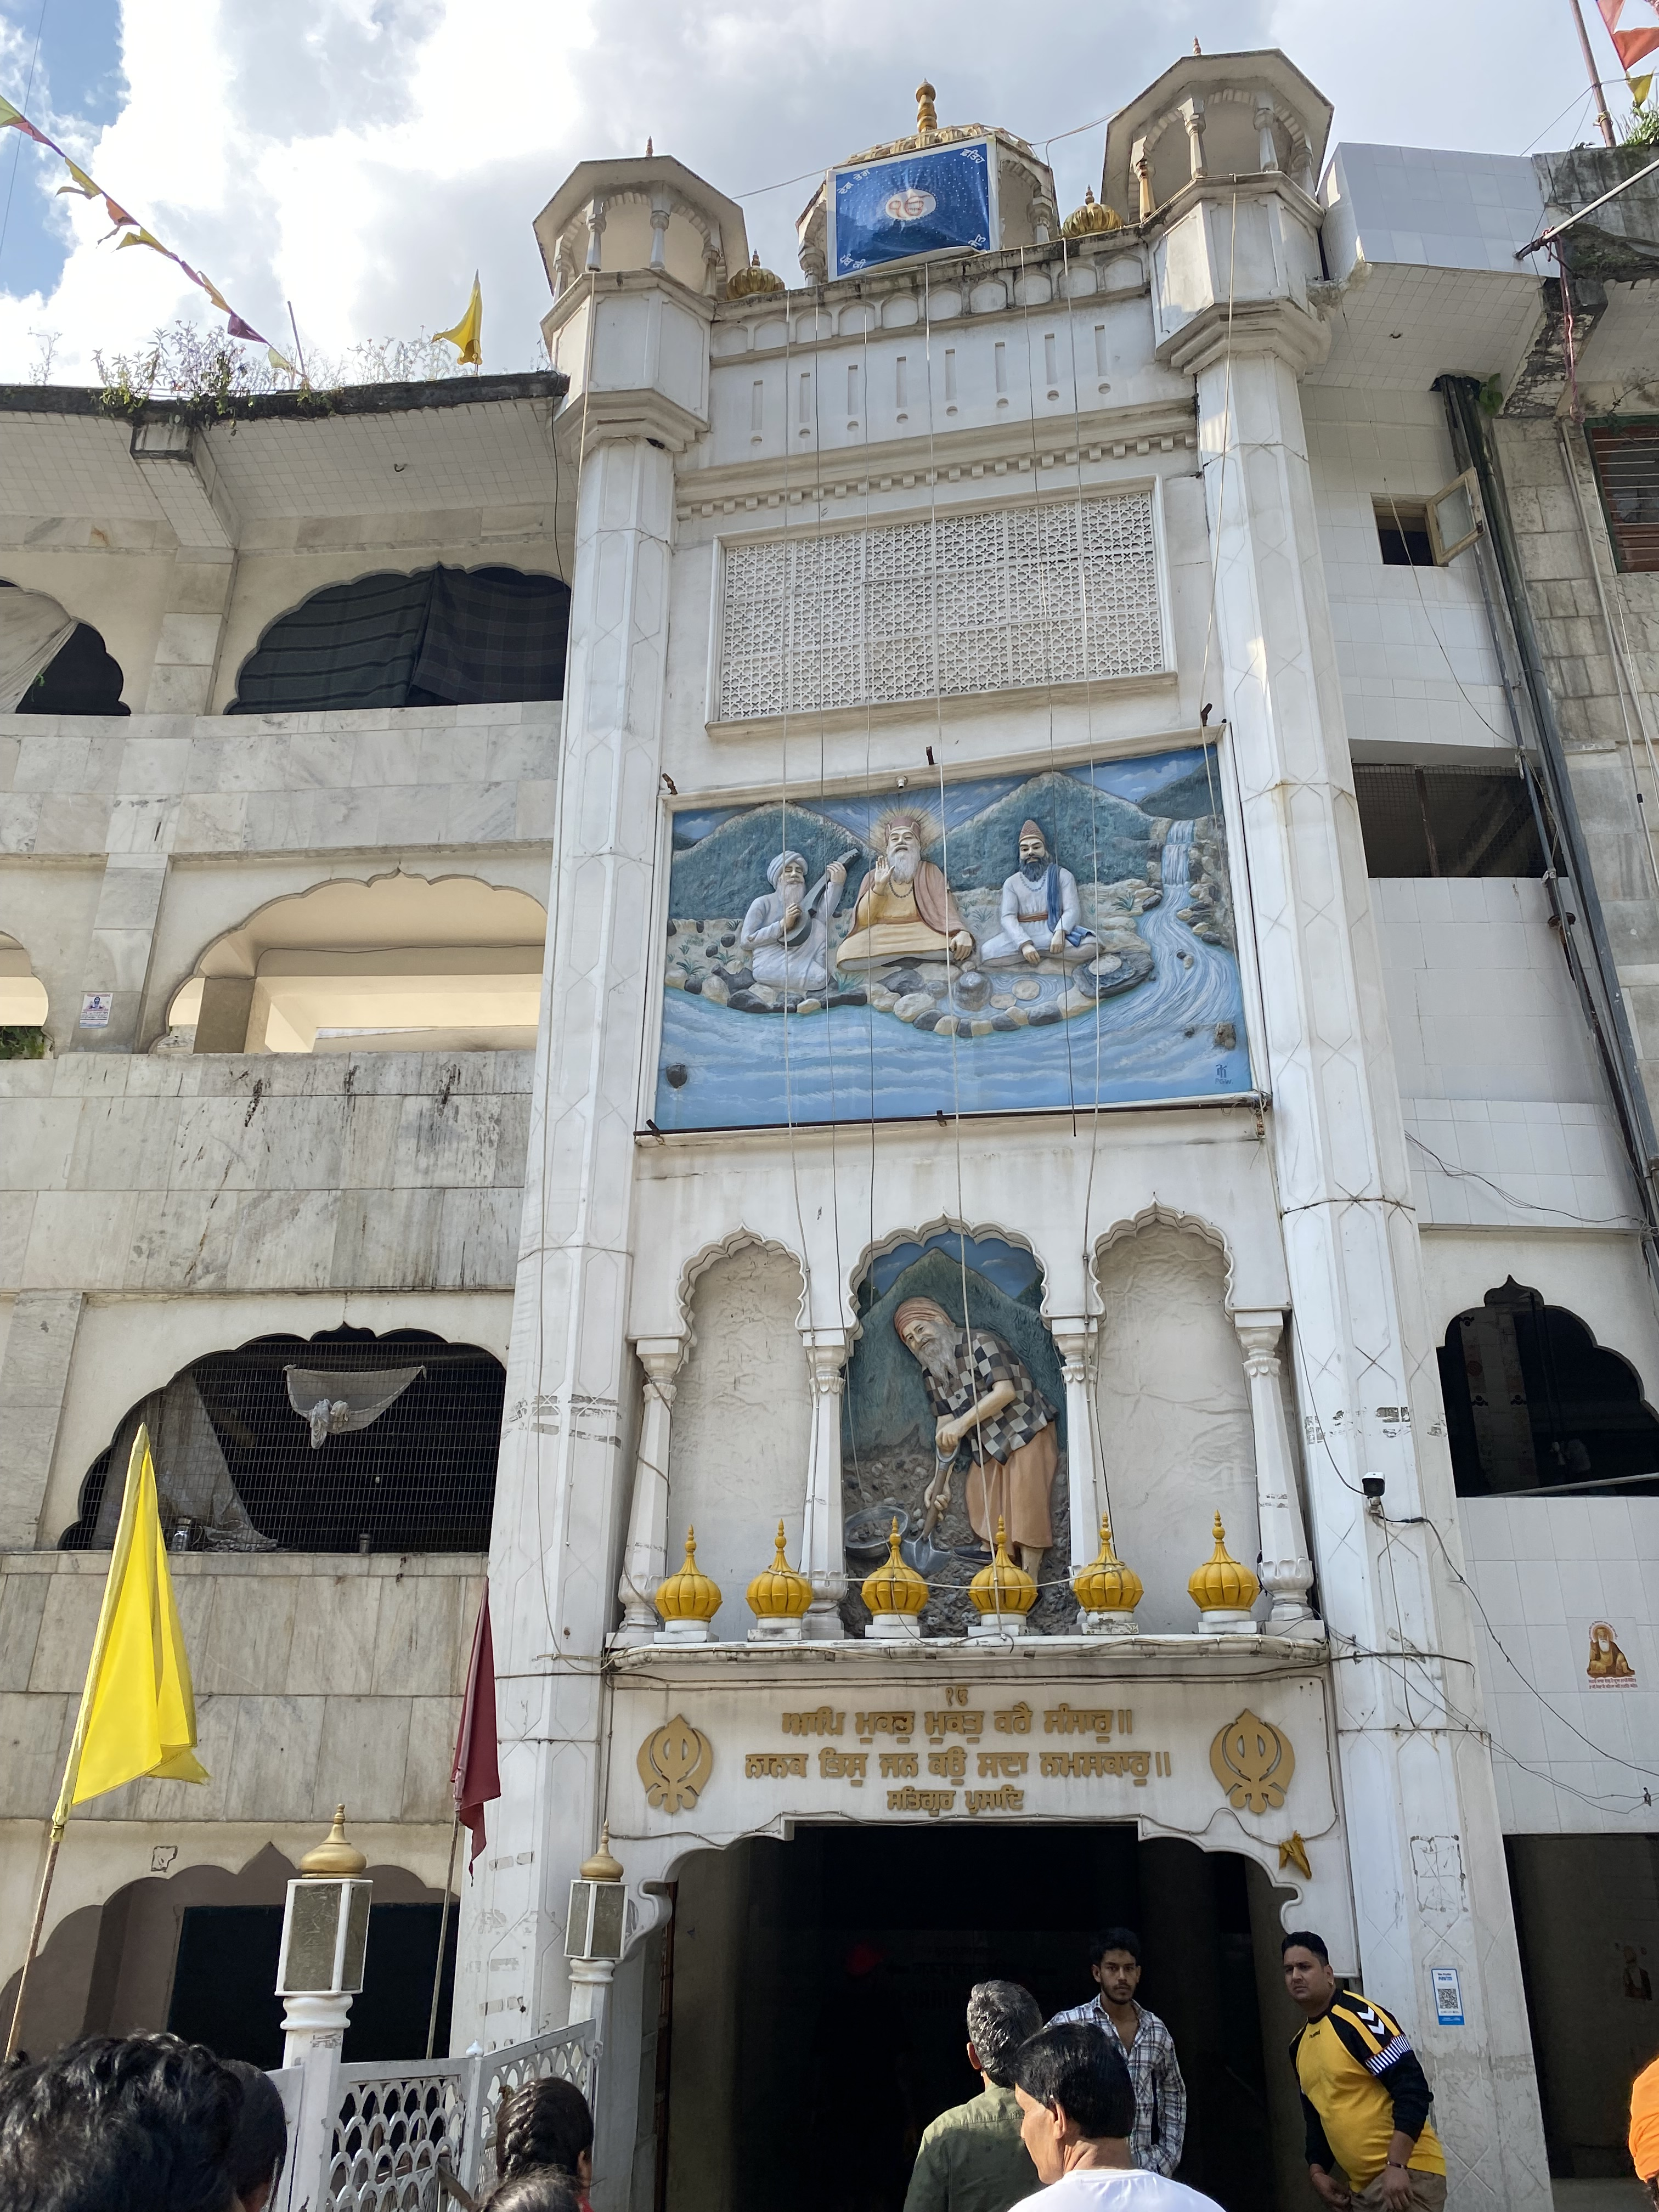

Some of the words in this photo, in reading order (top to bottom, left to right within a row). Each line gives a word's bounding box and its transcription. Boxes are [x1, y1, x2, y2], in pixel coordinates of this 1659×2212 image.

[781, 1703, 848, 1739] ਆਪਿ
[853, 1707, 918, 1747] ਮੁਕਤੁ
[921, 1707, 990, 1747] ਮੁਕਤੁ
[990, 1698, 1037, 1740] वठै
[1043, 1700, 1116, 1745] ਸੰਸਾਰੁ
[742, 1751, 810, 1781] ਨਾਨਕ
[818, 1743, 873, 1788] ਤਿਸੁ
[876, 1752, 921, 1781] ਜਨ
[924, 1742, 971, 1787] ਕਉ
[975, 1750, 1032, 1780] ਸਦਾ
[1039, 1750, 1153, 1780] ਨਮਸਕਾਰੁ
[885, 1785, 958, 1816] ਸਤਿਗੁਰ
[961, 1780, 1028, 1818] ਪ੍ਰਸਾਦਿ